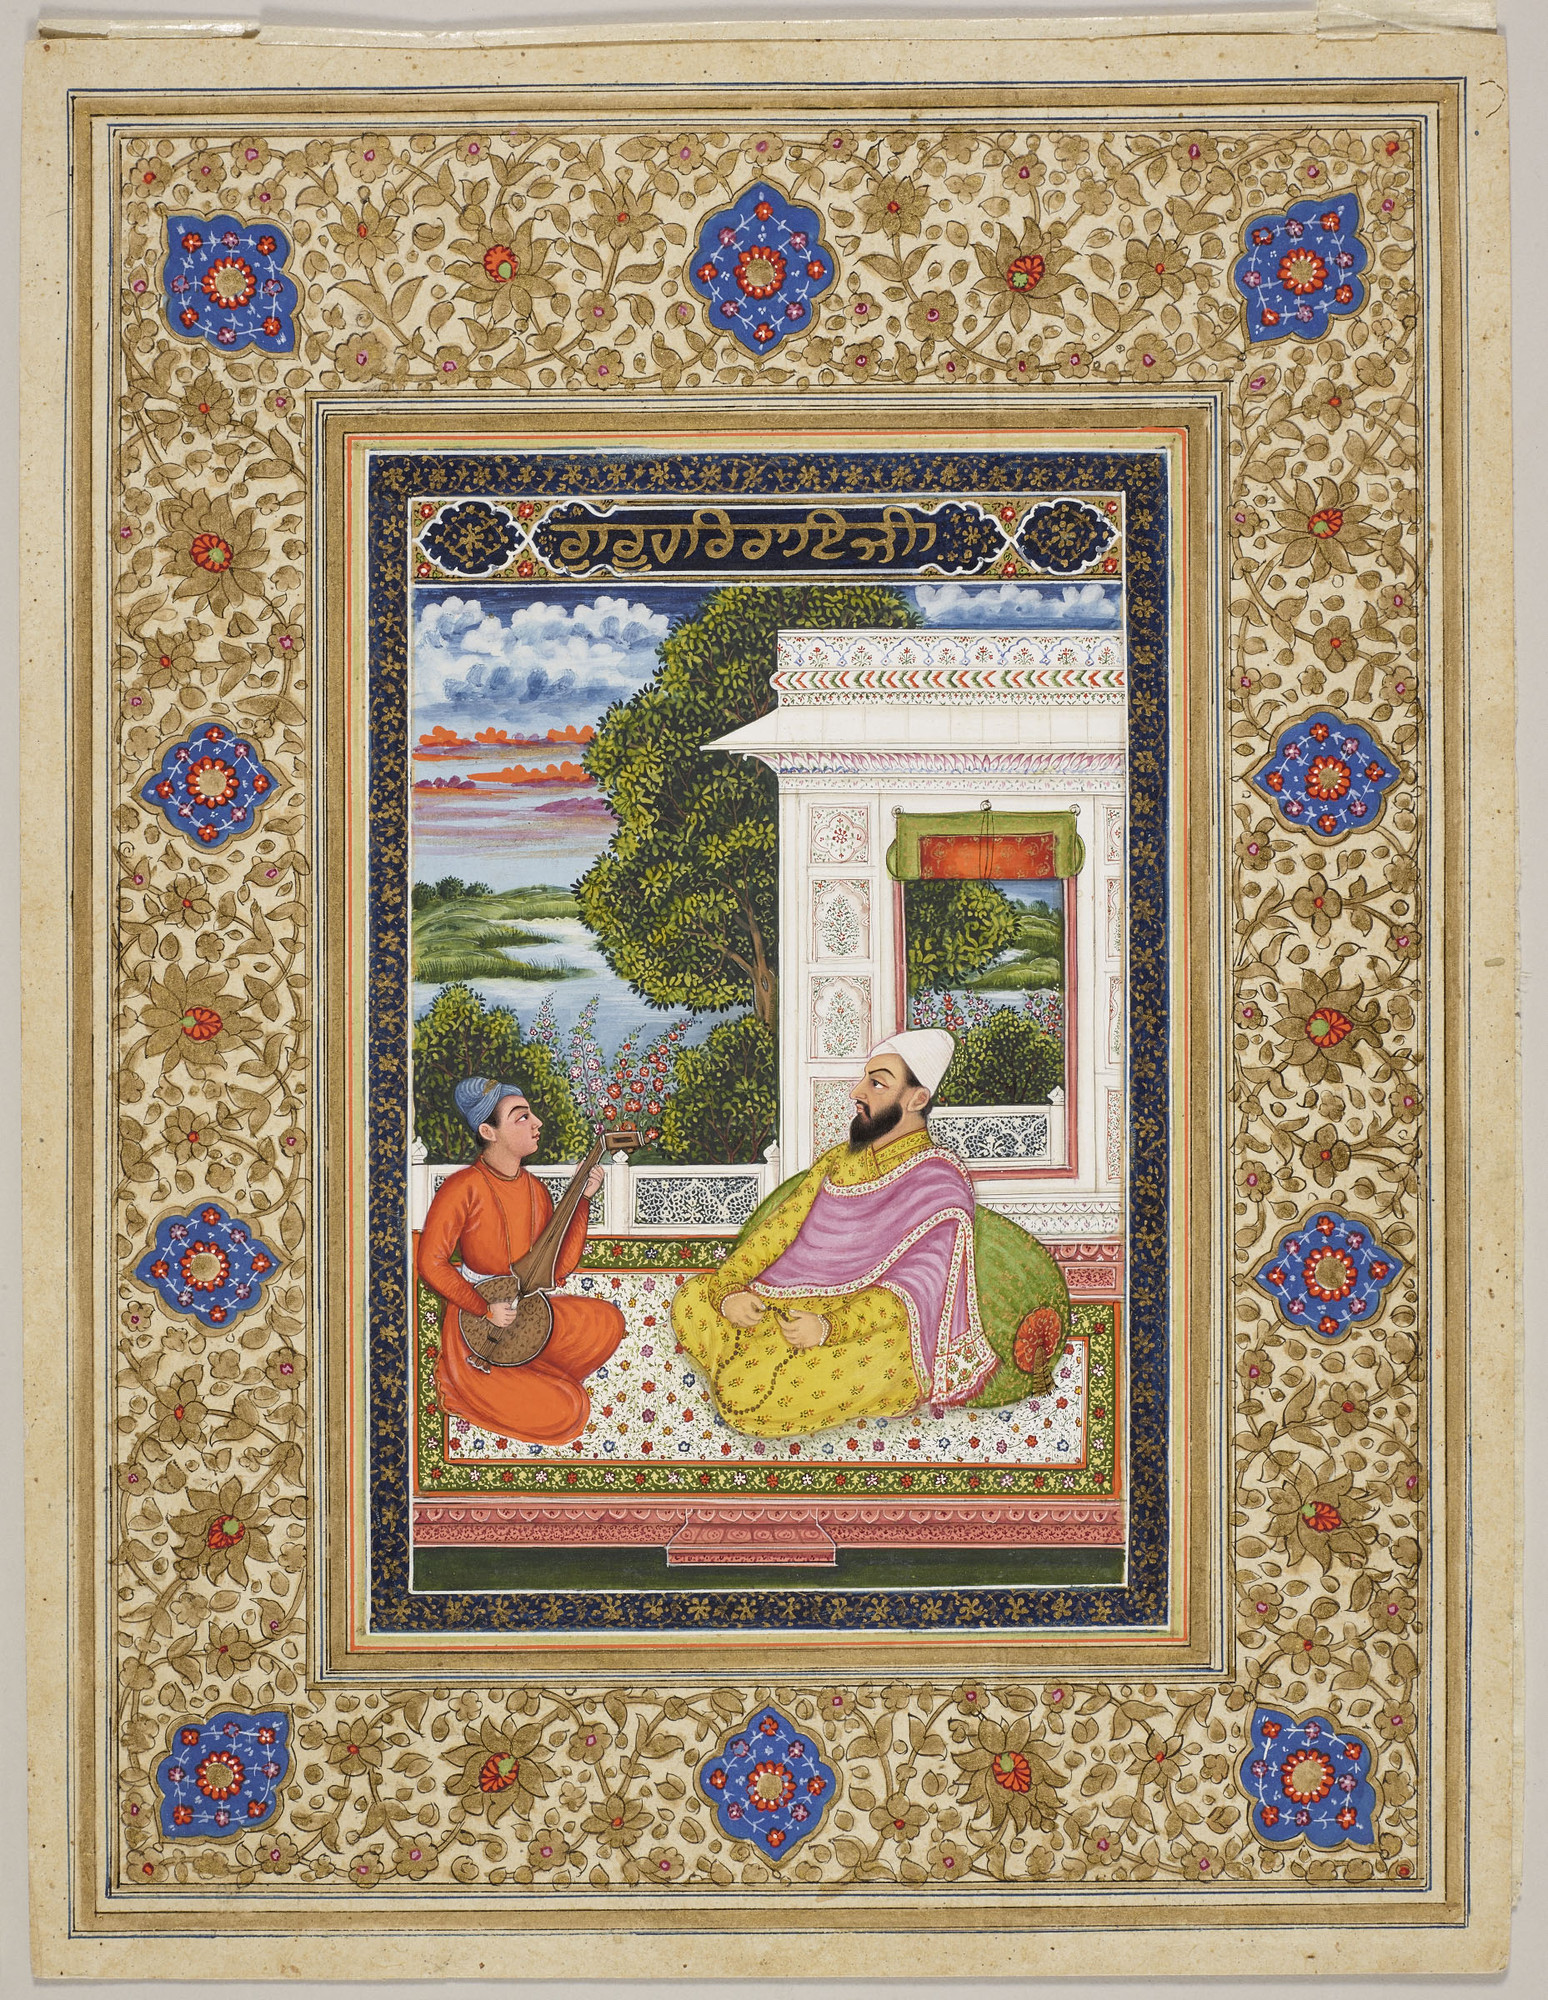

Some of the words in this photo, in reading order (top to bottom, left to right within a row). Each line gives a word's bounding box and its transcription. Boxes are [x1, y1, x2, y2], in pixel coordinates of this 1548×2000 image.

[545, 504, 945, 575] ਗੁਰੂਹਰਿਰਾਇਜੀਾ